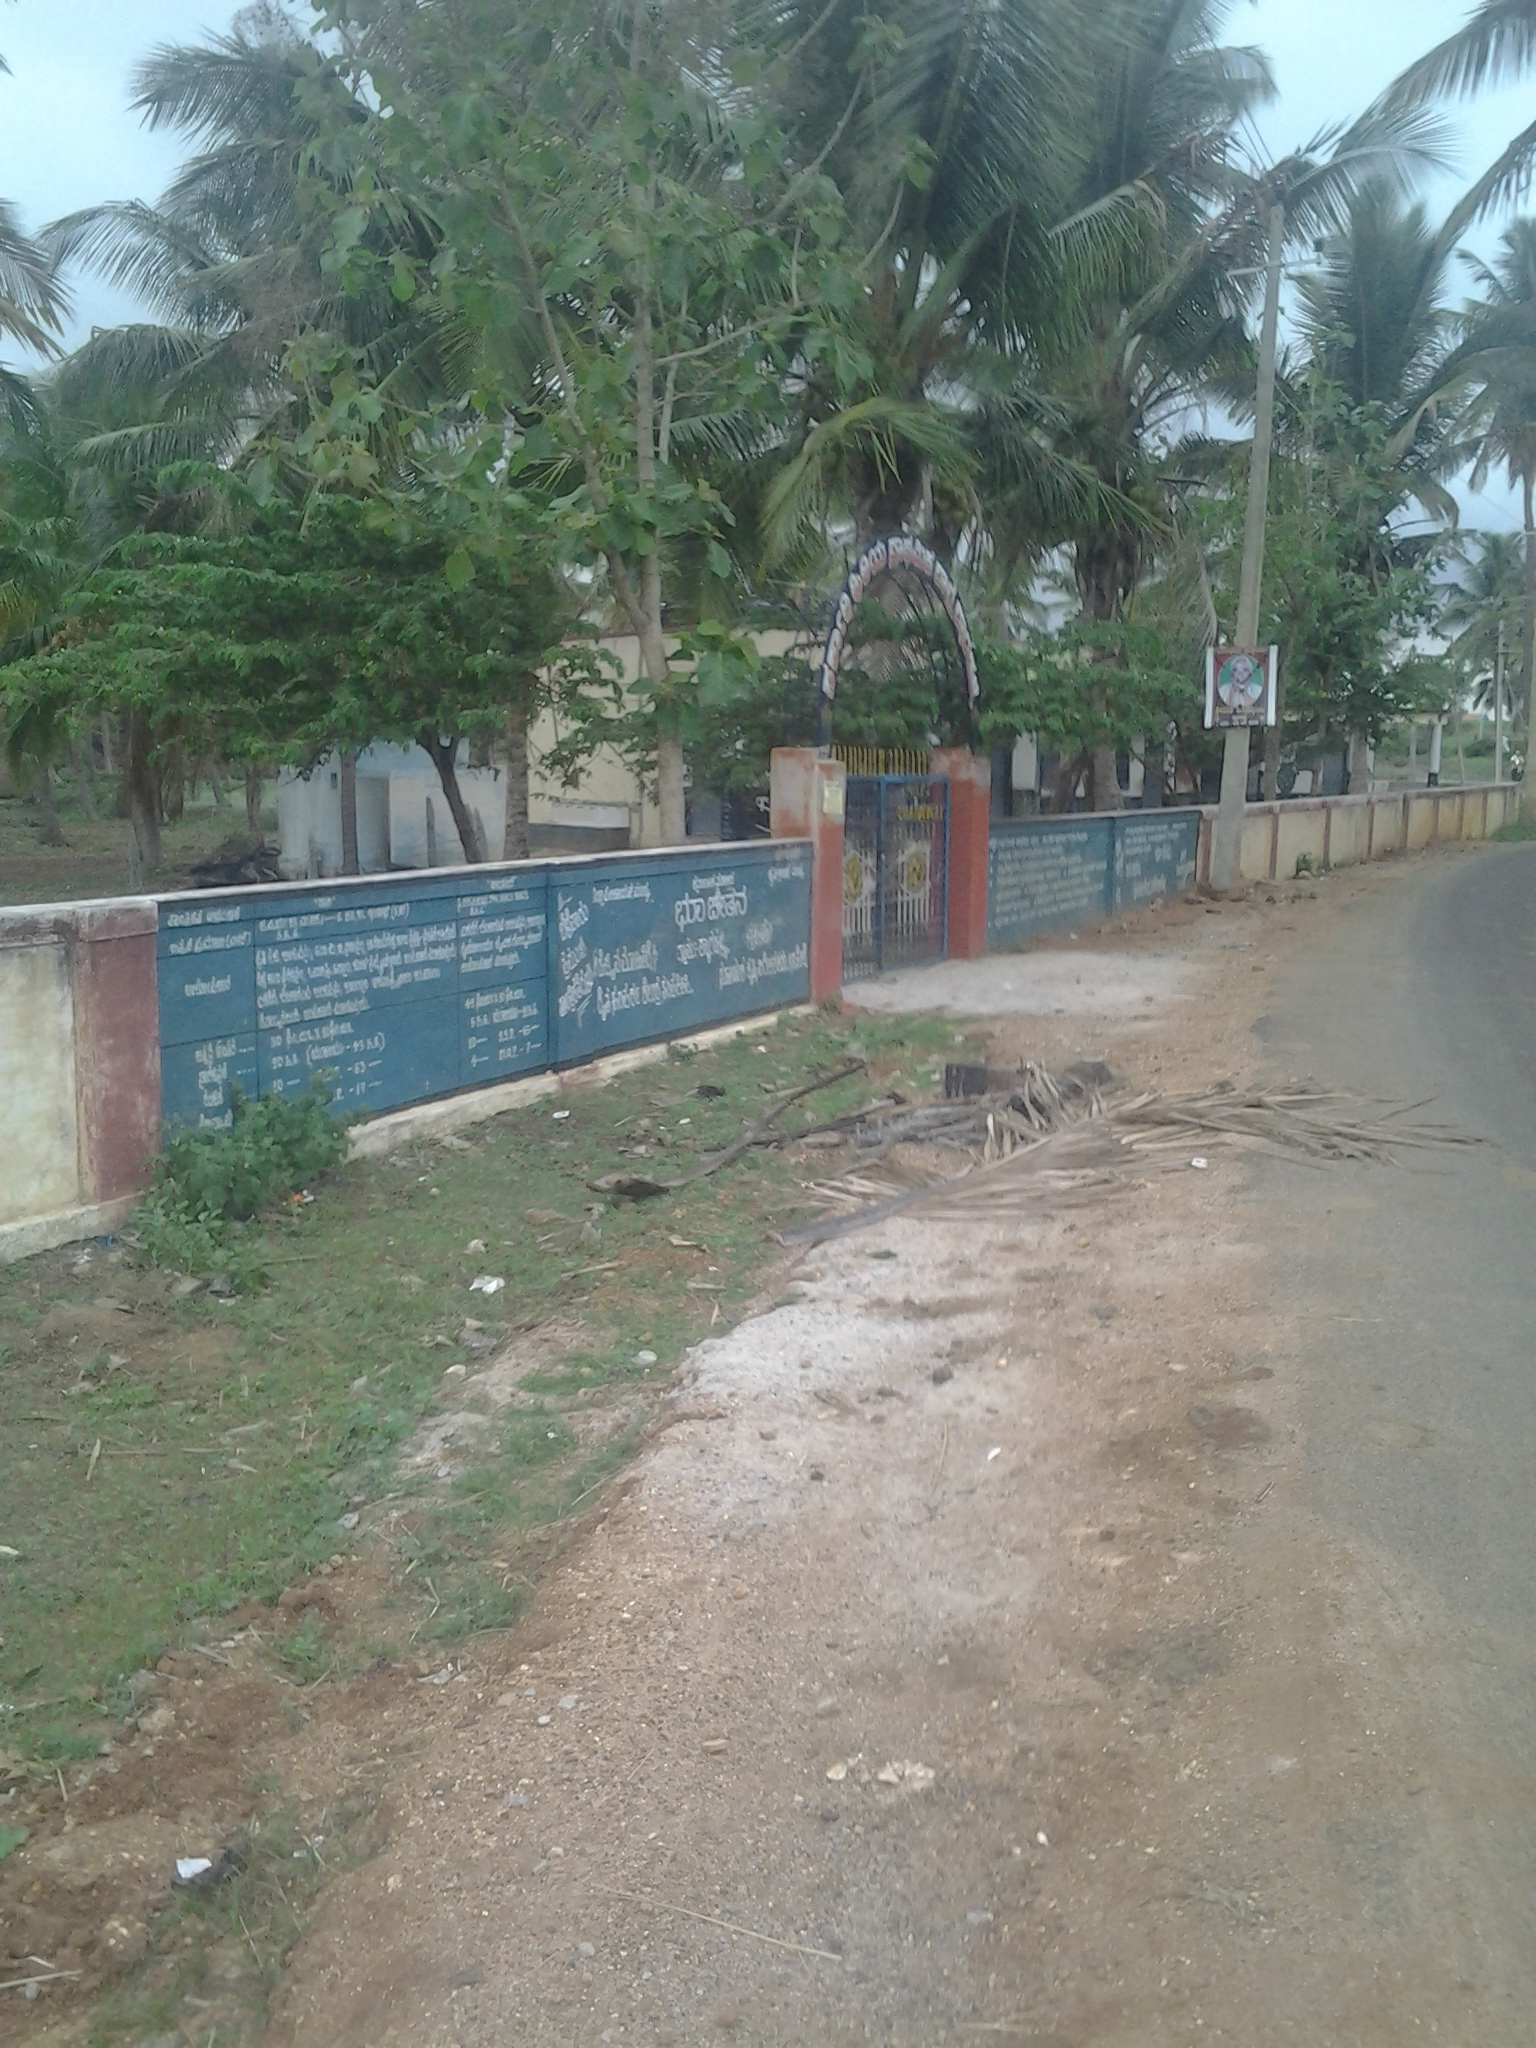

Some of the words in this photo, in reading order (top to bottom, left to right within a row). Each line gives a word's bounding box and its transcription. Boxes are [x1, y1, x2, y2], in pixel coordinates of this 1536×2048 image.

[666, 886, 753, 937] ಭೂಚೇತನ
[453, 933, 498, 961] T
[267, 1031, 289, 1056] 30